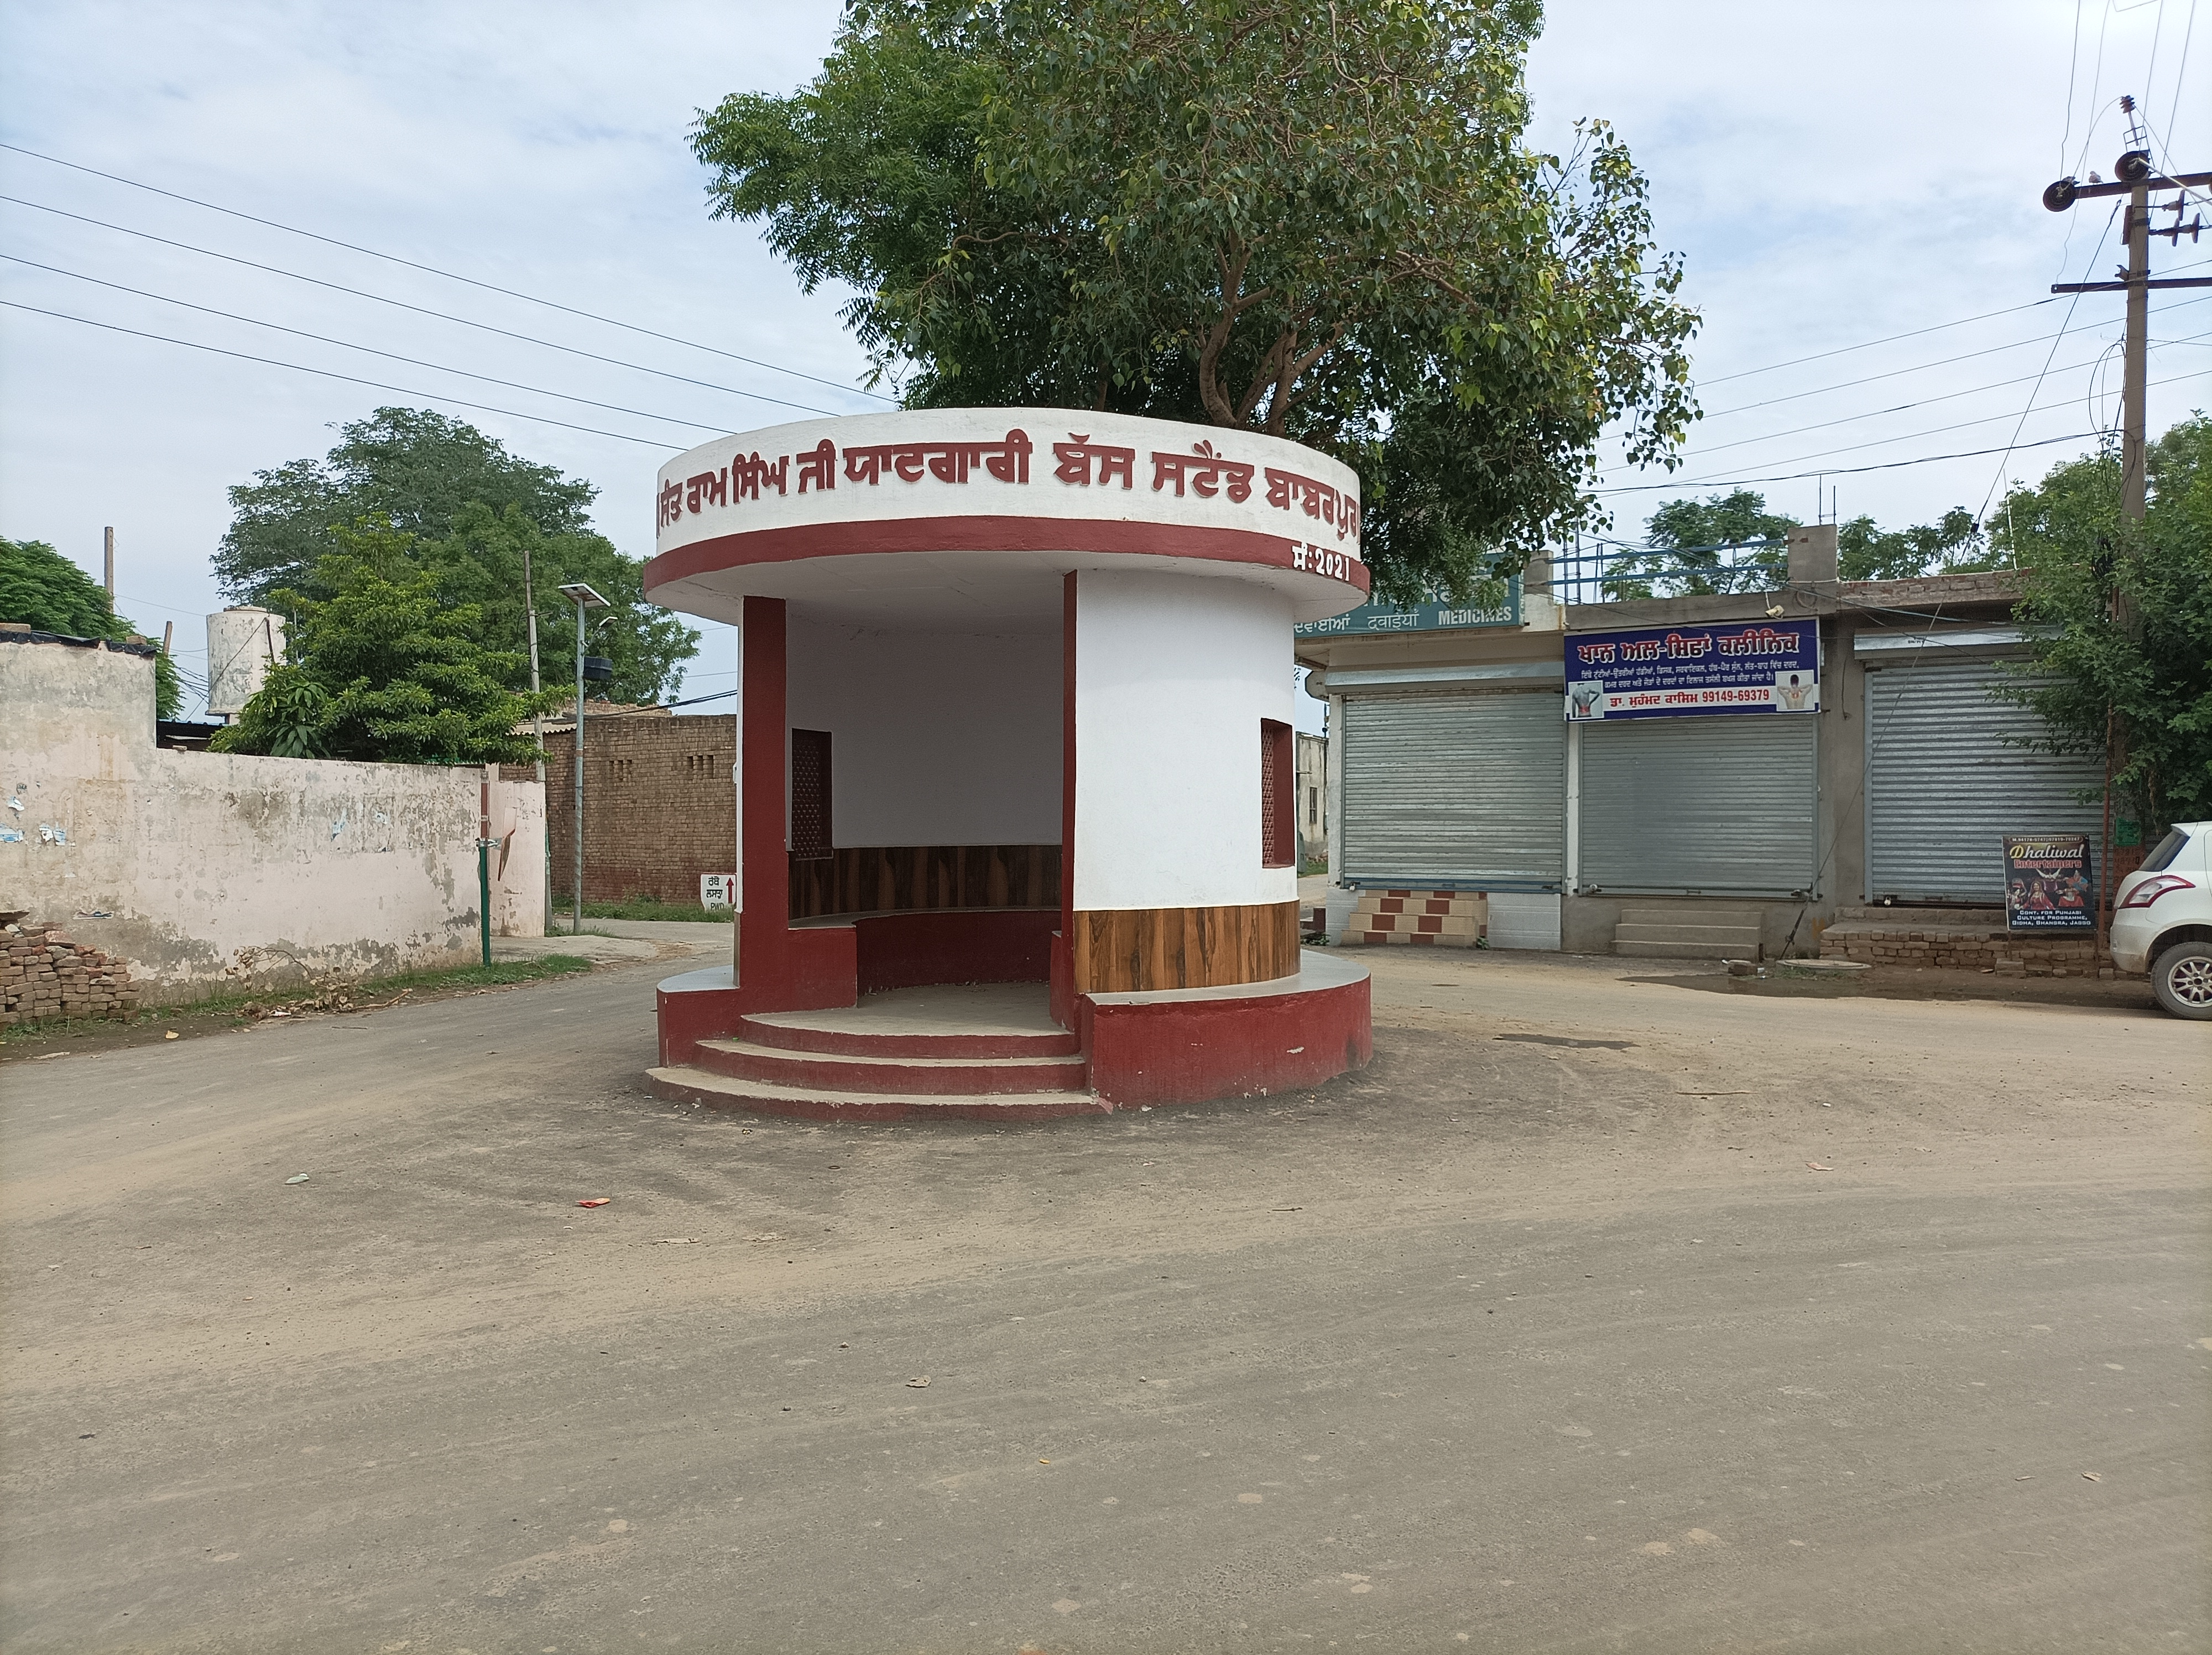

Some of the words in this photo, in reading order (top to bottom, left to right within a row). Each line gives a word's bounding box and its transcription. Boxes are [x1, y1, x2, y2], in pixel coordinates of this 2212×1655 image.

[660, 476, 685, 536] ਸੰਤ
[684, 461, 731, 521] ਰਾਮ
[729, 449, 791, 508] ਸਿੰਘ
[791, 433, 839, 502] ਜੀ
[838, 425, 1039, 494] ਯਾਦਗਾਰੀ
[1048, 427, 1142, 497] ਬੱਸ
[1145, 434, 1258, 506] ਸਟੈਂਡ
[1262, 462, 1337, 530] ਬਾਬਰ
[1284, 538, 1355, 586] ਸੰ:2021
[1364, 606, 1423, 634] दवाइयाँ
[1435, 605, 1515, 630] MEDICINES
[1574, 639, 1618, 667] ਖਾਨ
[1617, 627, 1715, 664] ਅਲ-ਸ਼ਿਫਾਂ
[1713, 626, 1806, 659] ਕਲੀਨਿਕ
[1606, 693, 1626, 712] ਤਾ.
[1626, 692, 1662, 711] ਮੁਹੰਮਦ
[1662, 689, 1699, 707] ਕਾਸਿਮ
[1699, 686, 1771, 706] 99149-69379
[2011, 859, 2042, 870] Enter
[2008, 842, 2088, 859] Dhaliwal
[2041, 858, 2084, 870] tainers
[702, 887, 726, 902] ਲਸੜਾ
[707, 874, 722, 888] ਰਥੋ
[708, 899, 727, 913] PWD